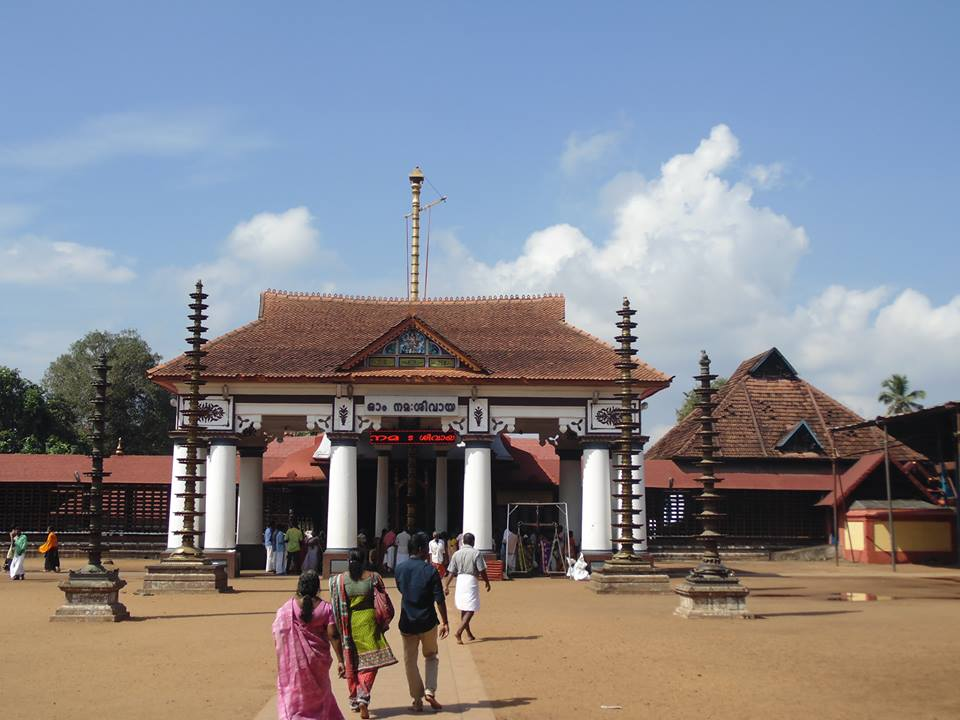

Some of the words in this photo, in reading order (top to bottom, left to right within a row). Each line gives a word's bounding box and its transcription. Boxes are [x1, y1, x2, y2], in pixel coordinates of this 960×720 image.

[361, 399, 390, 417] ഓം
[389, 393, 459, 416] നമ:ശിവായ